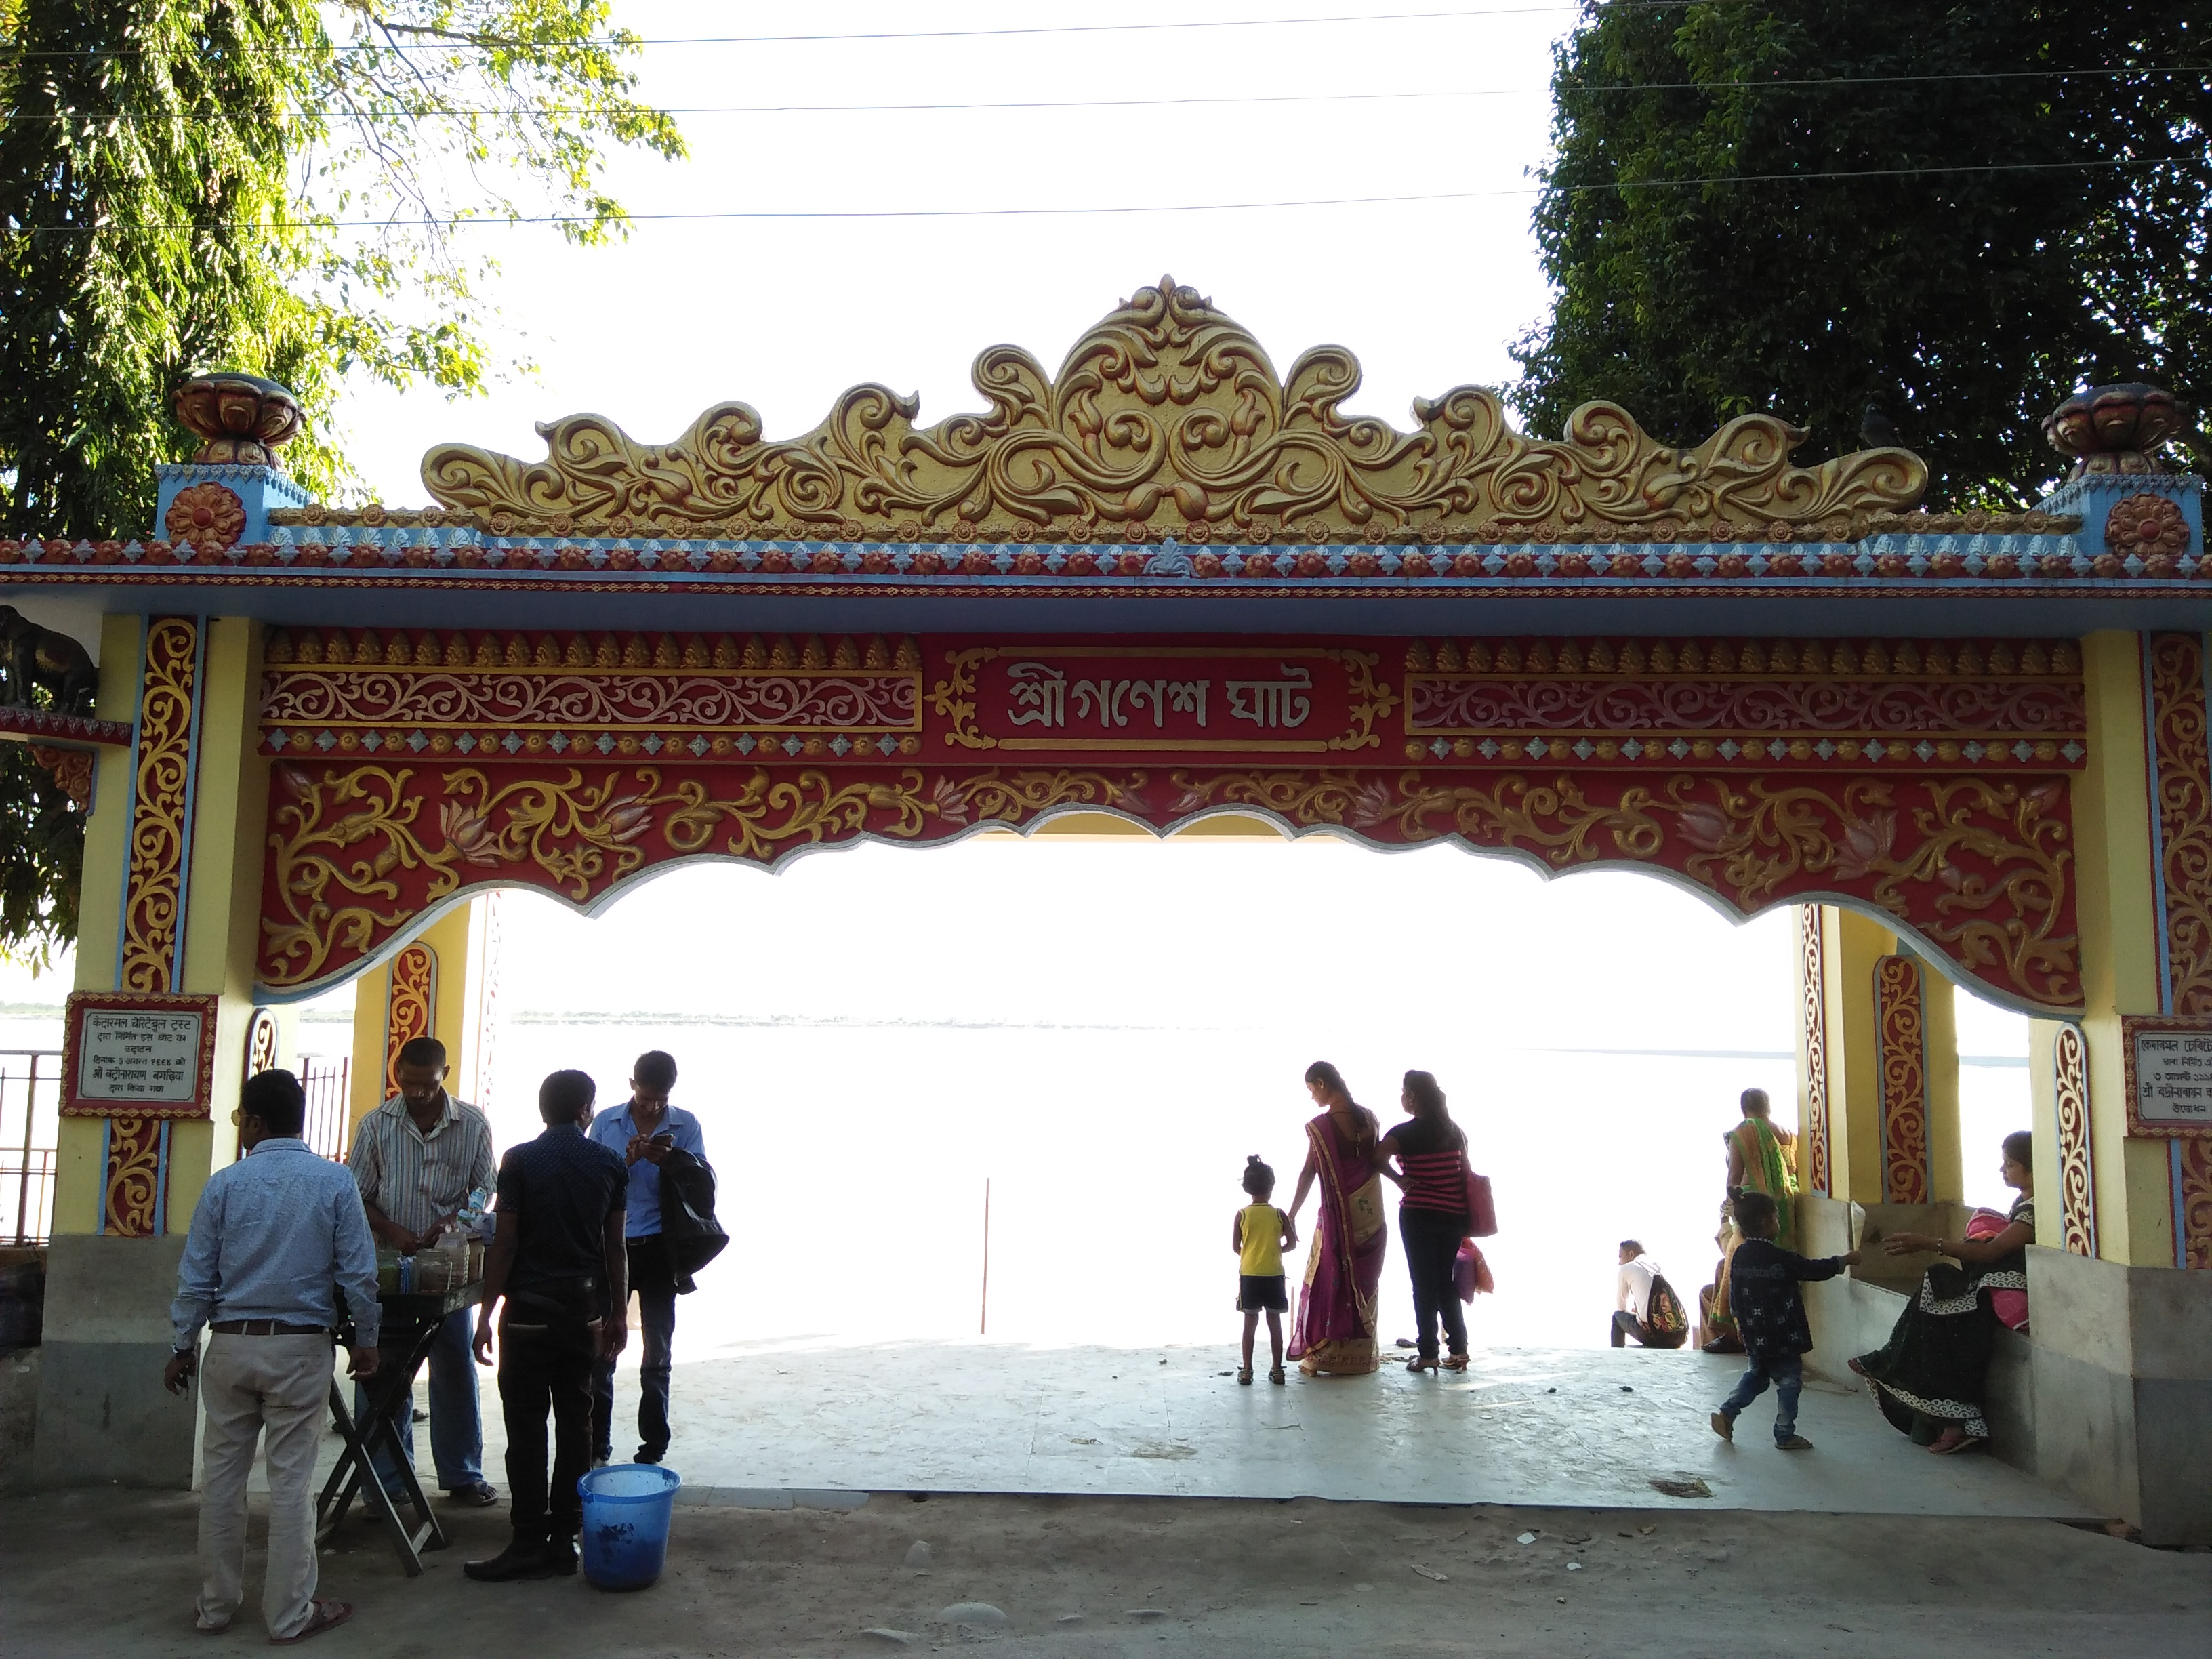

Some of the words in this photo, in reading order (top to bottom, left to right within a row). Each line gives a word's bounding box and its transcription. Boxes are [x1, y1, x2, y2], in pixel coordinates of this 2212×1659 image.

[997, 653, 1212, 733] শ্ৰীগণেশ
[1221, 654, 1317, 737] ঘাট
[89, 1049, 119, 1067] दिनांक
[95, 1027, 115, 1044] दारा
[89, 1007, 131, 1031] केदारमल
[113, 1054, 128, 1069] 3
[112, 1026, 140, 1044] निर्मित
[123, 1052, 151, 1068] अगस्त
[123, 1040, 154, 1058] उद्घाटन
[136, 1029, 157, 1046] इस
[124, 1012, 171, 1033] चेरिटेबुल
[150, 1028, 176, 1045] द्याट
[166, 1013, 193, 1037] ट्रस्ट
[172, 1027, 192, 1045] का
[172, 1049, 192, 1070] को
[2135, 1034, 2183, 1054] কেদাৰমল
[2160, 1053, 2181, 1070] দ্বাৰা
[2177, 1050, 2206, 1071] নিৰ্মিত
[89, 1062, 108, 1082] श्री
[100, 1061, 150, 1083] बद्रीनारायण
[151, 1063, 186, 1086] बगड़िया
[2146, 1065, 2195, 1085] ৩আগষ্ট
[108, 1078, 129, 1099] दारा
[125, 1078, 147, 1095] किया
[147, 1082, 166, 1094] गया
[2139, 1077, 2156, 1101] শ্রী
[2153, 1077, 2205, 1101] বদ্ৰীনাৰায়ন
[2167, 1099, 2207, 1115] উদ্বোধন